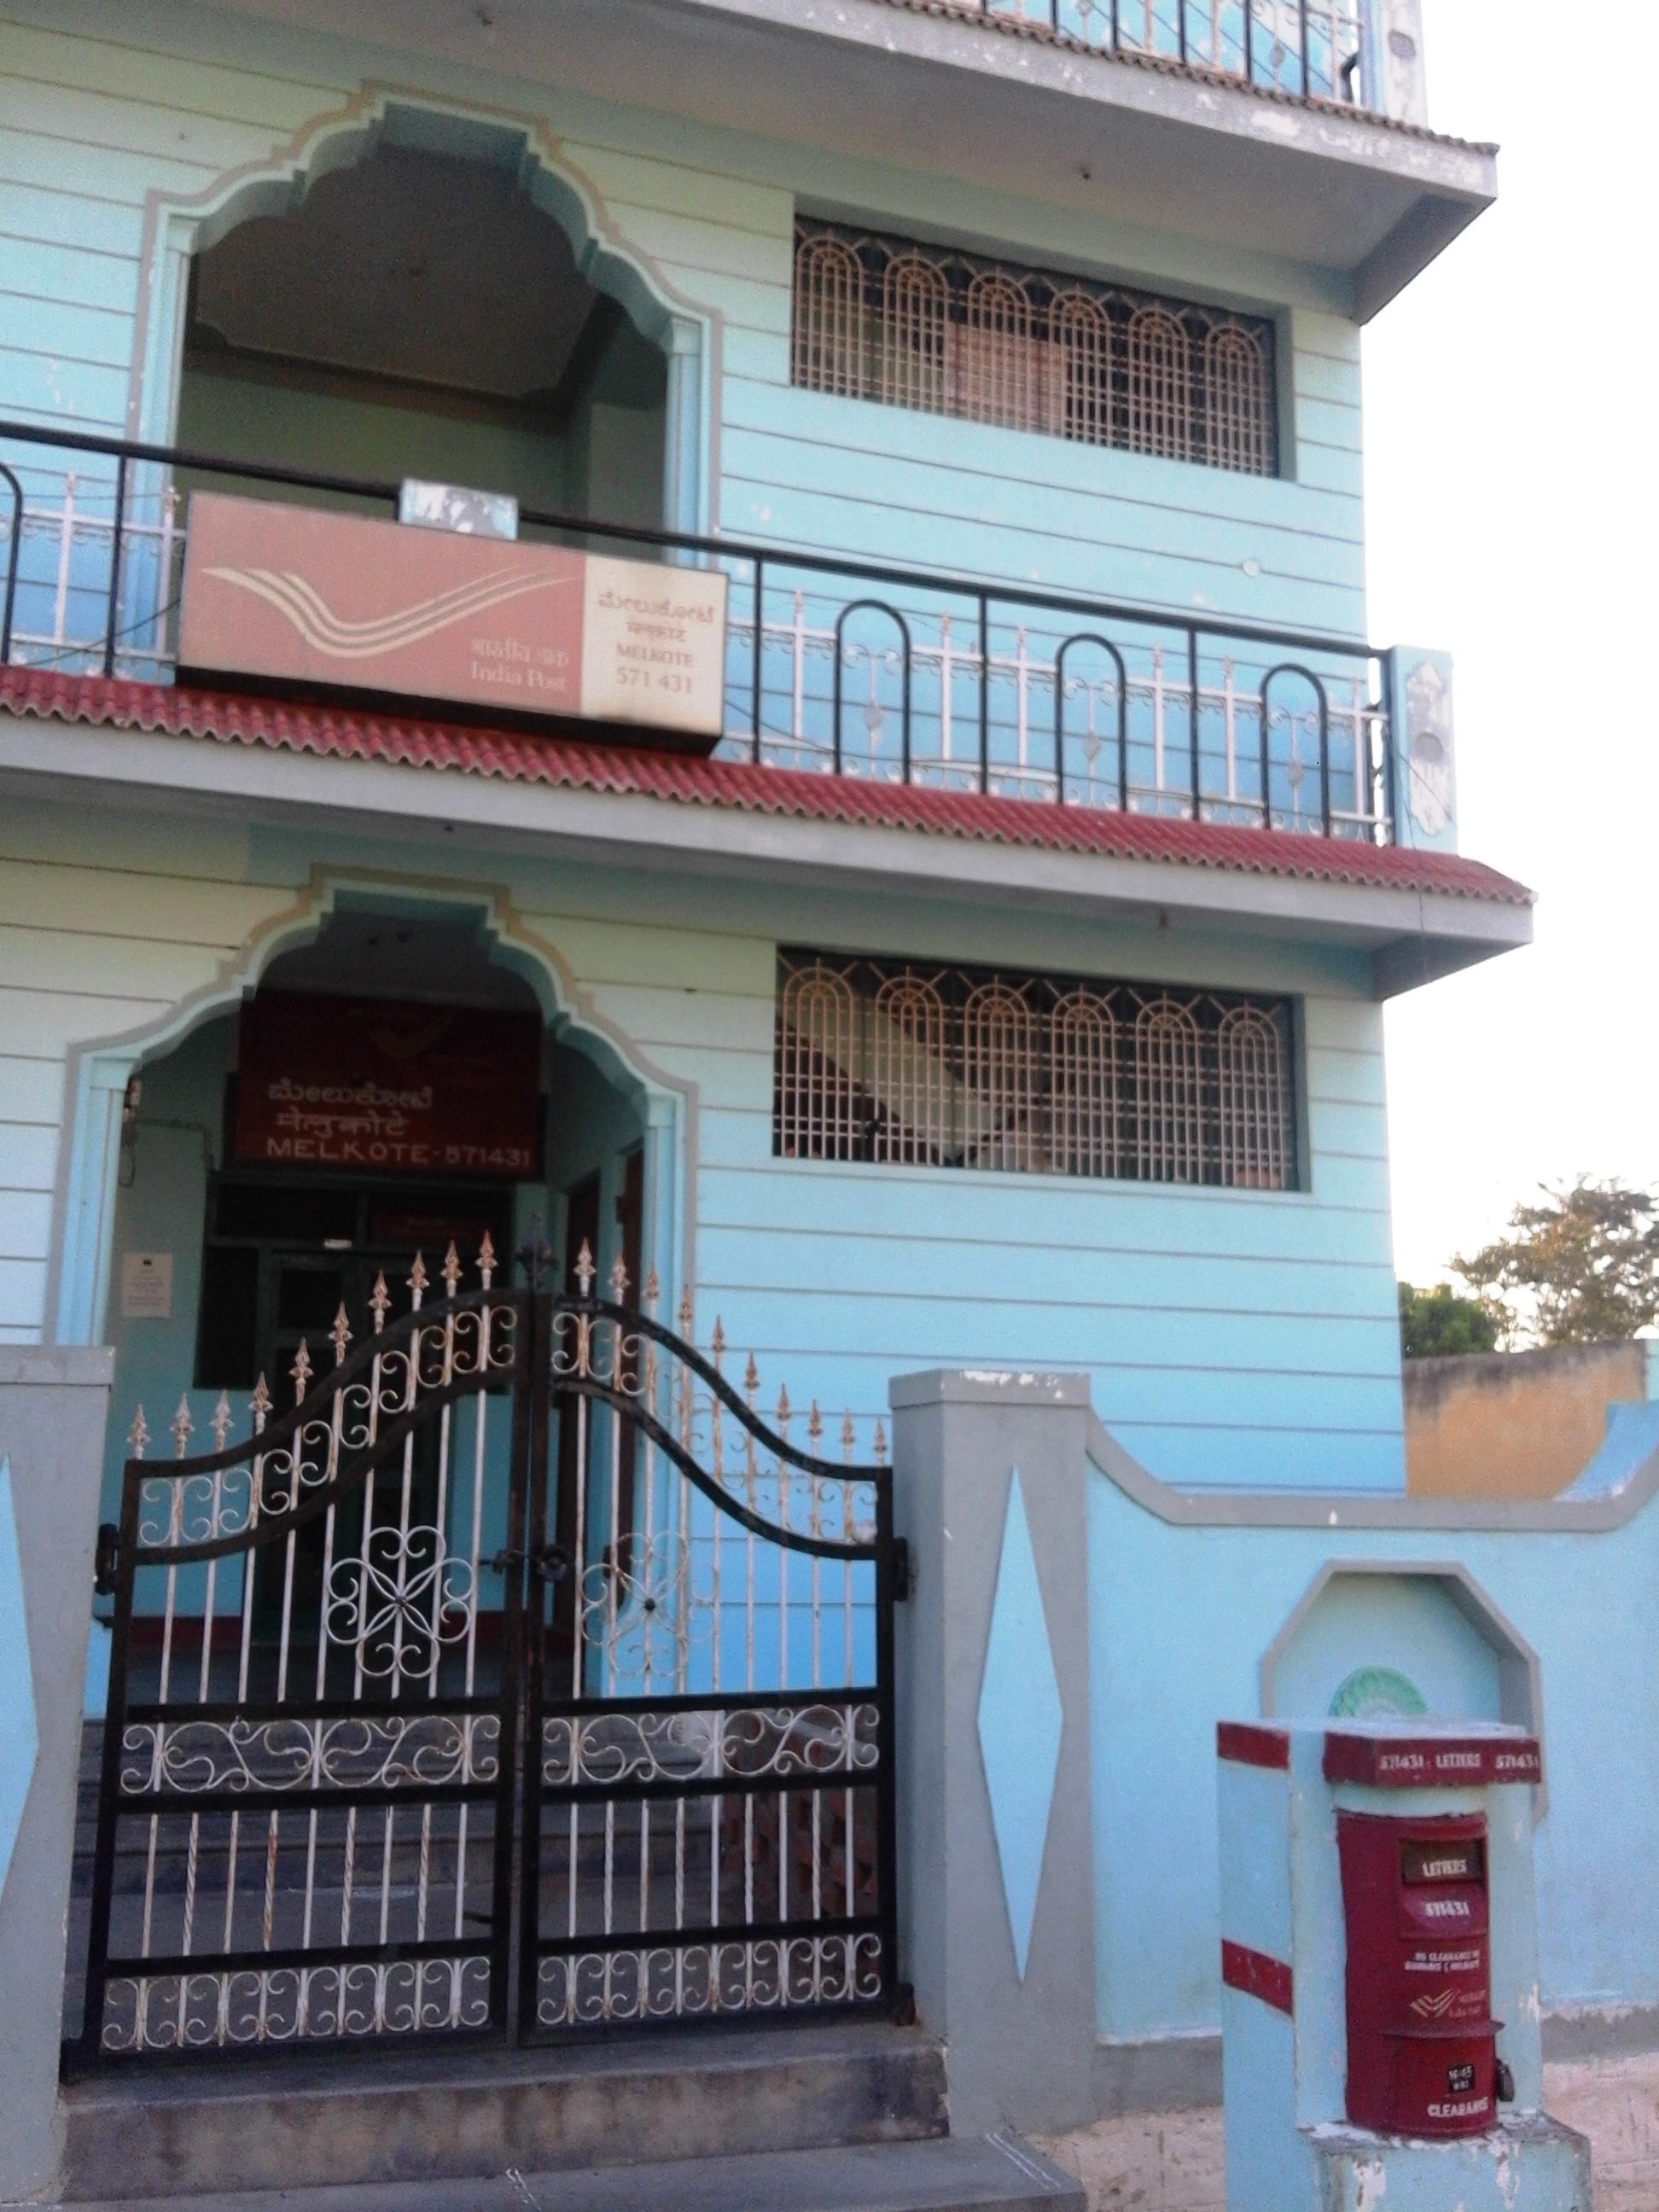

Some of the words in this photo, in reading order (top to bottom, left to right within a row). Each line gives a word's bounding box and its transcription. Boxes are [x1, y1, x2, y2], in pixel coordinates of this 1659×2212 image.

[265, 1069, 437, 1112] ಮೇಲುಕೋಟೆ
[272, 1100, 410, 1144] मेलुकोटे
[263, 1134, 432, 1166] MELKOTE
[445, 1139, 535, 1171] 571431
[1375, 1745, 1429, 1774] 571431
[1432, 1748, 1487, 1773] LETTERS
[1485, 1749, 1542, 1773] 571431
[1421, 1851, 1469, 1881] LETTERS
[1423, 1895, 1475, 1922] 571431
[1419, 2095, 1492, 2122] CLEARANCE